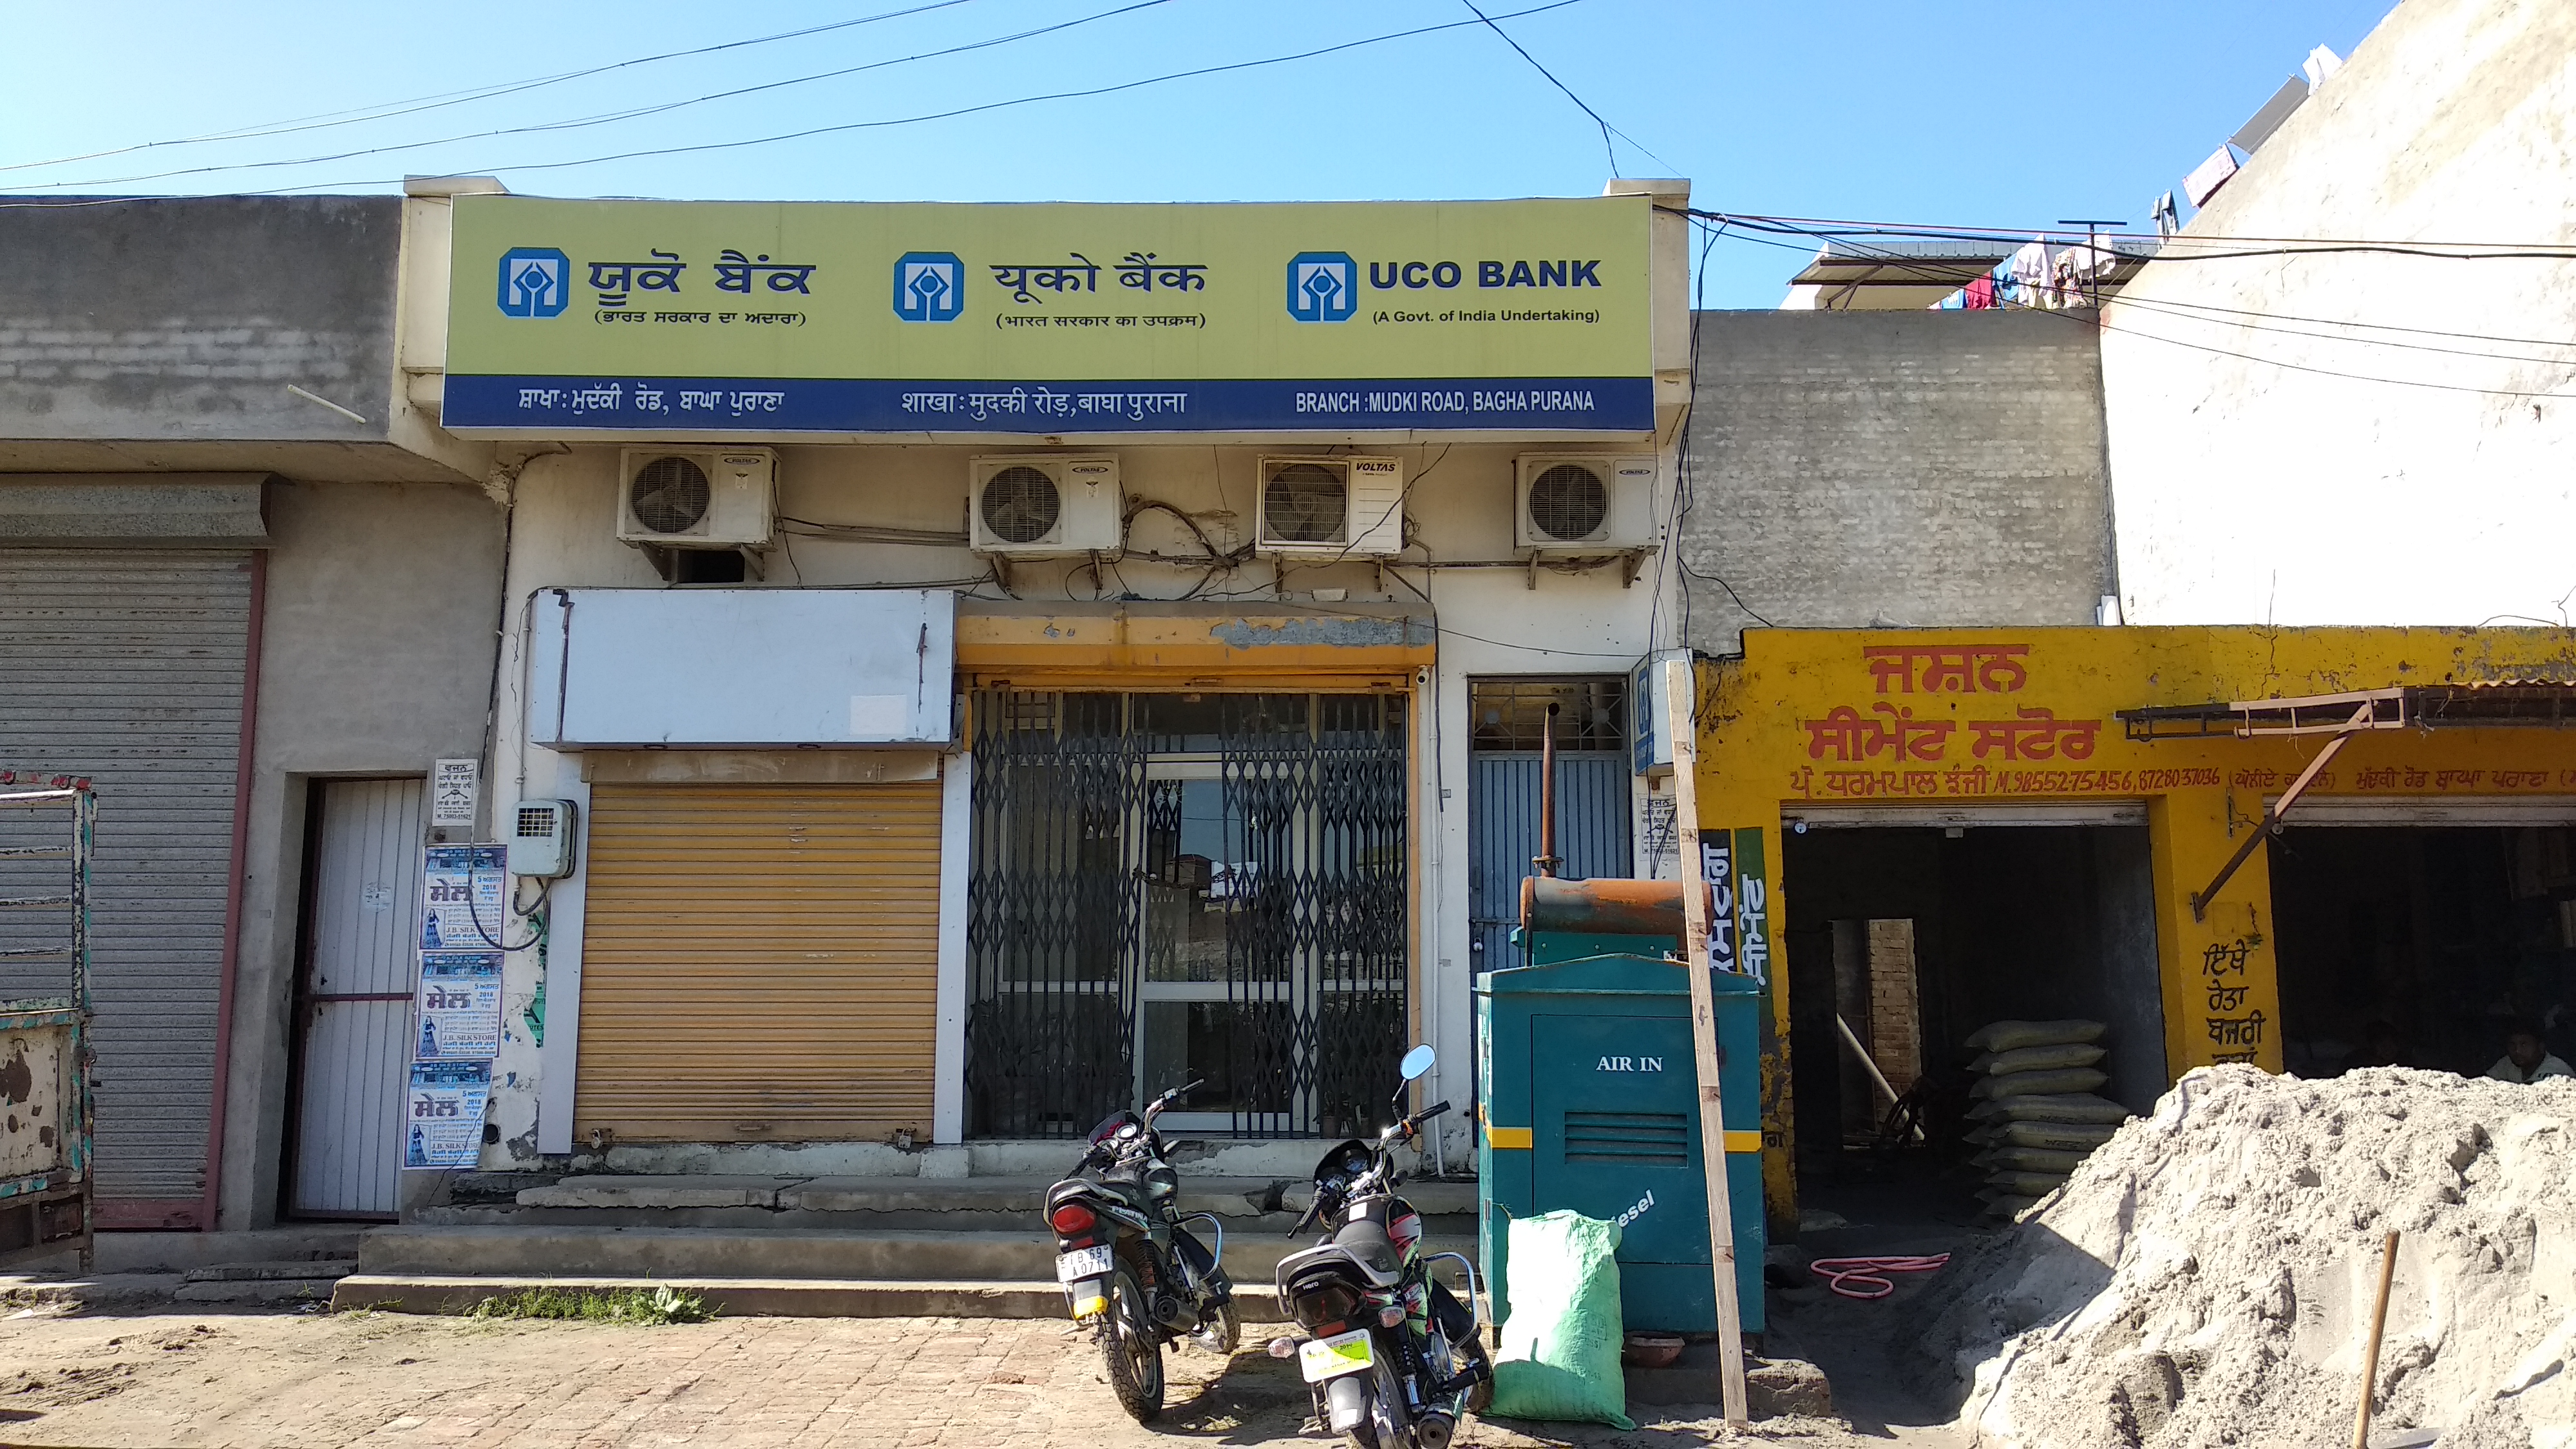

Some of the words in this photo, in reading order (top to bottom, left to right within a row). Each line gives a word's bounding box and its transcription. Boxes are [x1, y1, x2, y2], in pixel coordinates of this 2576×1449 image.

[582, 242, 694, 308] ਯੂਕੋ
[706, 240, 823, 303] ਬੈਂਕ
[978, 248, 1107, 309] यूको
[1108, 246, 1215, 298] बैंक
[1362, 258, 1467, 296] ੫੦੦
[1474, 256, 1607, 294] BANK
[599, 308, 649, 324] ਭਾਰਤ
[650, 309, 714, 325] ਸਰਕਾਰ
[715, 305, 740, 327] ਦਾ
[741, 306, 801, 328] ਅਦਾਰਾ
[1002, 313, 1052, 330] भारत
[1050, 311, 1112, 329] सरकार
[1112, 311, 1140, 330] का
[1140, 312, 1200, 330] उपक्रम
[1373, 309, 1392, 328] A
[1391, 307, 1437, 328] Govt.
[1437, 305, 1458, 326] of
[1457, 306, 1497, 328] India
[1499, 305, 1596, 327] Undertaking
[511, 382, 565, 415] ਸ਼ਾਖਾ
[567, 379, 627, 421] ਮੁਦੱਕੀ
[631, 379, 667, 417] ਰੋਡ
[675, 383, 726, 417] ਬਾਘਾ
[724, 389, 789, 421] ਪੁਰਾਣਾ
[894, 388, 958, 418] शाखा
[965, 383, 1030, 424] मुदकी
[1029, 383, 1074, 421] रोड़
[1075, 388, 1126, 422] बाघा
[1124, 388, 1191, 423] पुराना
[1293, 390, 1361, 415] BRANCH
[1367, 388, 1419, 415] MUDKI
[1419, 388, 1468, 416] ROAD
[1471, 386, 1531, 415] BAGHA
[1528, 386, 1600, 415] PURANA
[1350, 457, 1400, 473] VOLTAS
[1853, 636, 2038, 699] ਜਸ਼ਨ
[1794, 697, 1962, 766] ਸੀਮੇਂਟ
[1962, 698, 2108, 763] ਸਟੋਰ
[1781, 761, 1826, 800] ਪੋ.
[1820, 766, 1940, 800] ਧਰਮਪਾਲ
[1940, 761, 1994, 799] ਝੰਜੀ
[1989, 761, 2013, 795] M.
[2011, 764, 2136, 795] 98552-75456
[2134, 759, 2224, 793] 8728037036
[2231, 762, 2280, 793] ਘੋਲੀਏ
[2349, 758, 2403, 795] ਮੁੱਚਈ
[2401, 758, 2434, 793] ਰੋਡ
[2432, 759, 2488, 794] ਬਾਘਾ
[2487, 765, 2553, 794] ਪੁਰਾਣਾ
[426, 875, 473, 903] ਸੇਲ
[2196, 934, 2255, 979] ਇੱਥੇ
[422, 981, 473, 1010] ਸੇਲ
[2196, 975, 2255, 1014] ਰੇਤਾ
[2196, 1004, 2273, 1048] ਬਜਰੀ
[1589, 1052, 1636, 1076] AIR
[1636, 1052, 1667, 1076] IN
[412, 1090, 460, 1117] ਸੇਲ